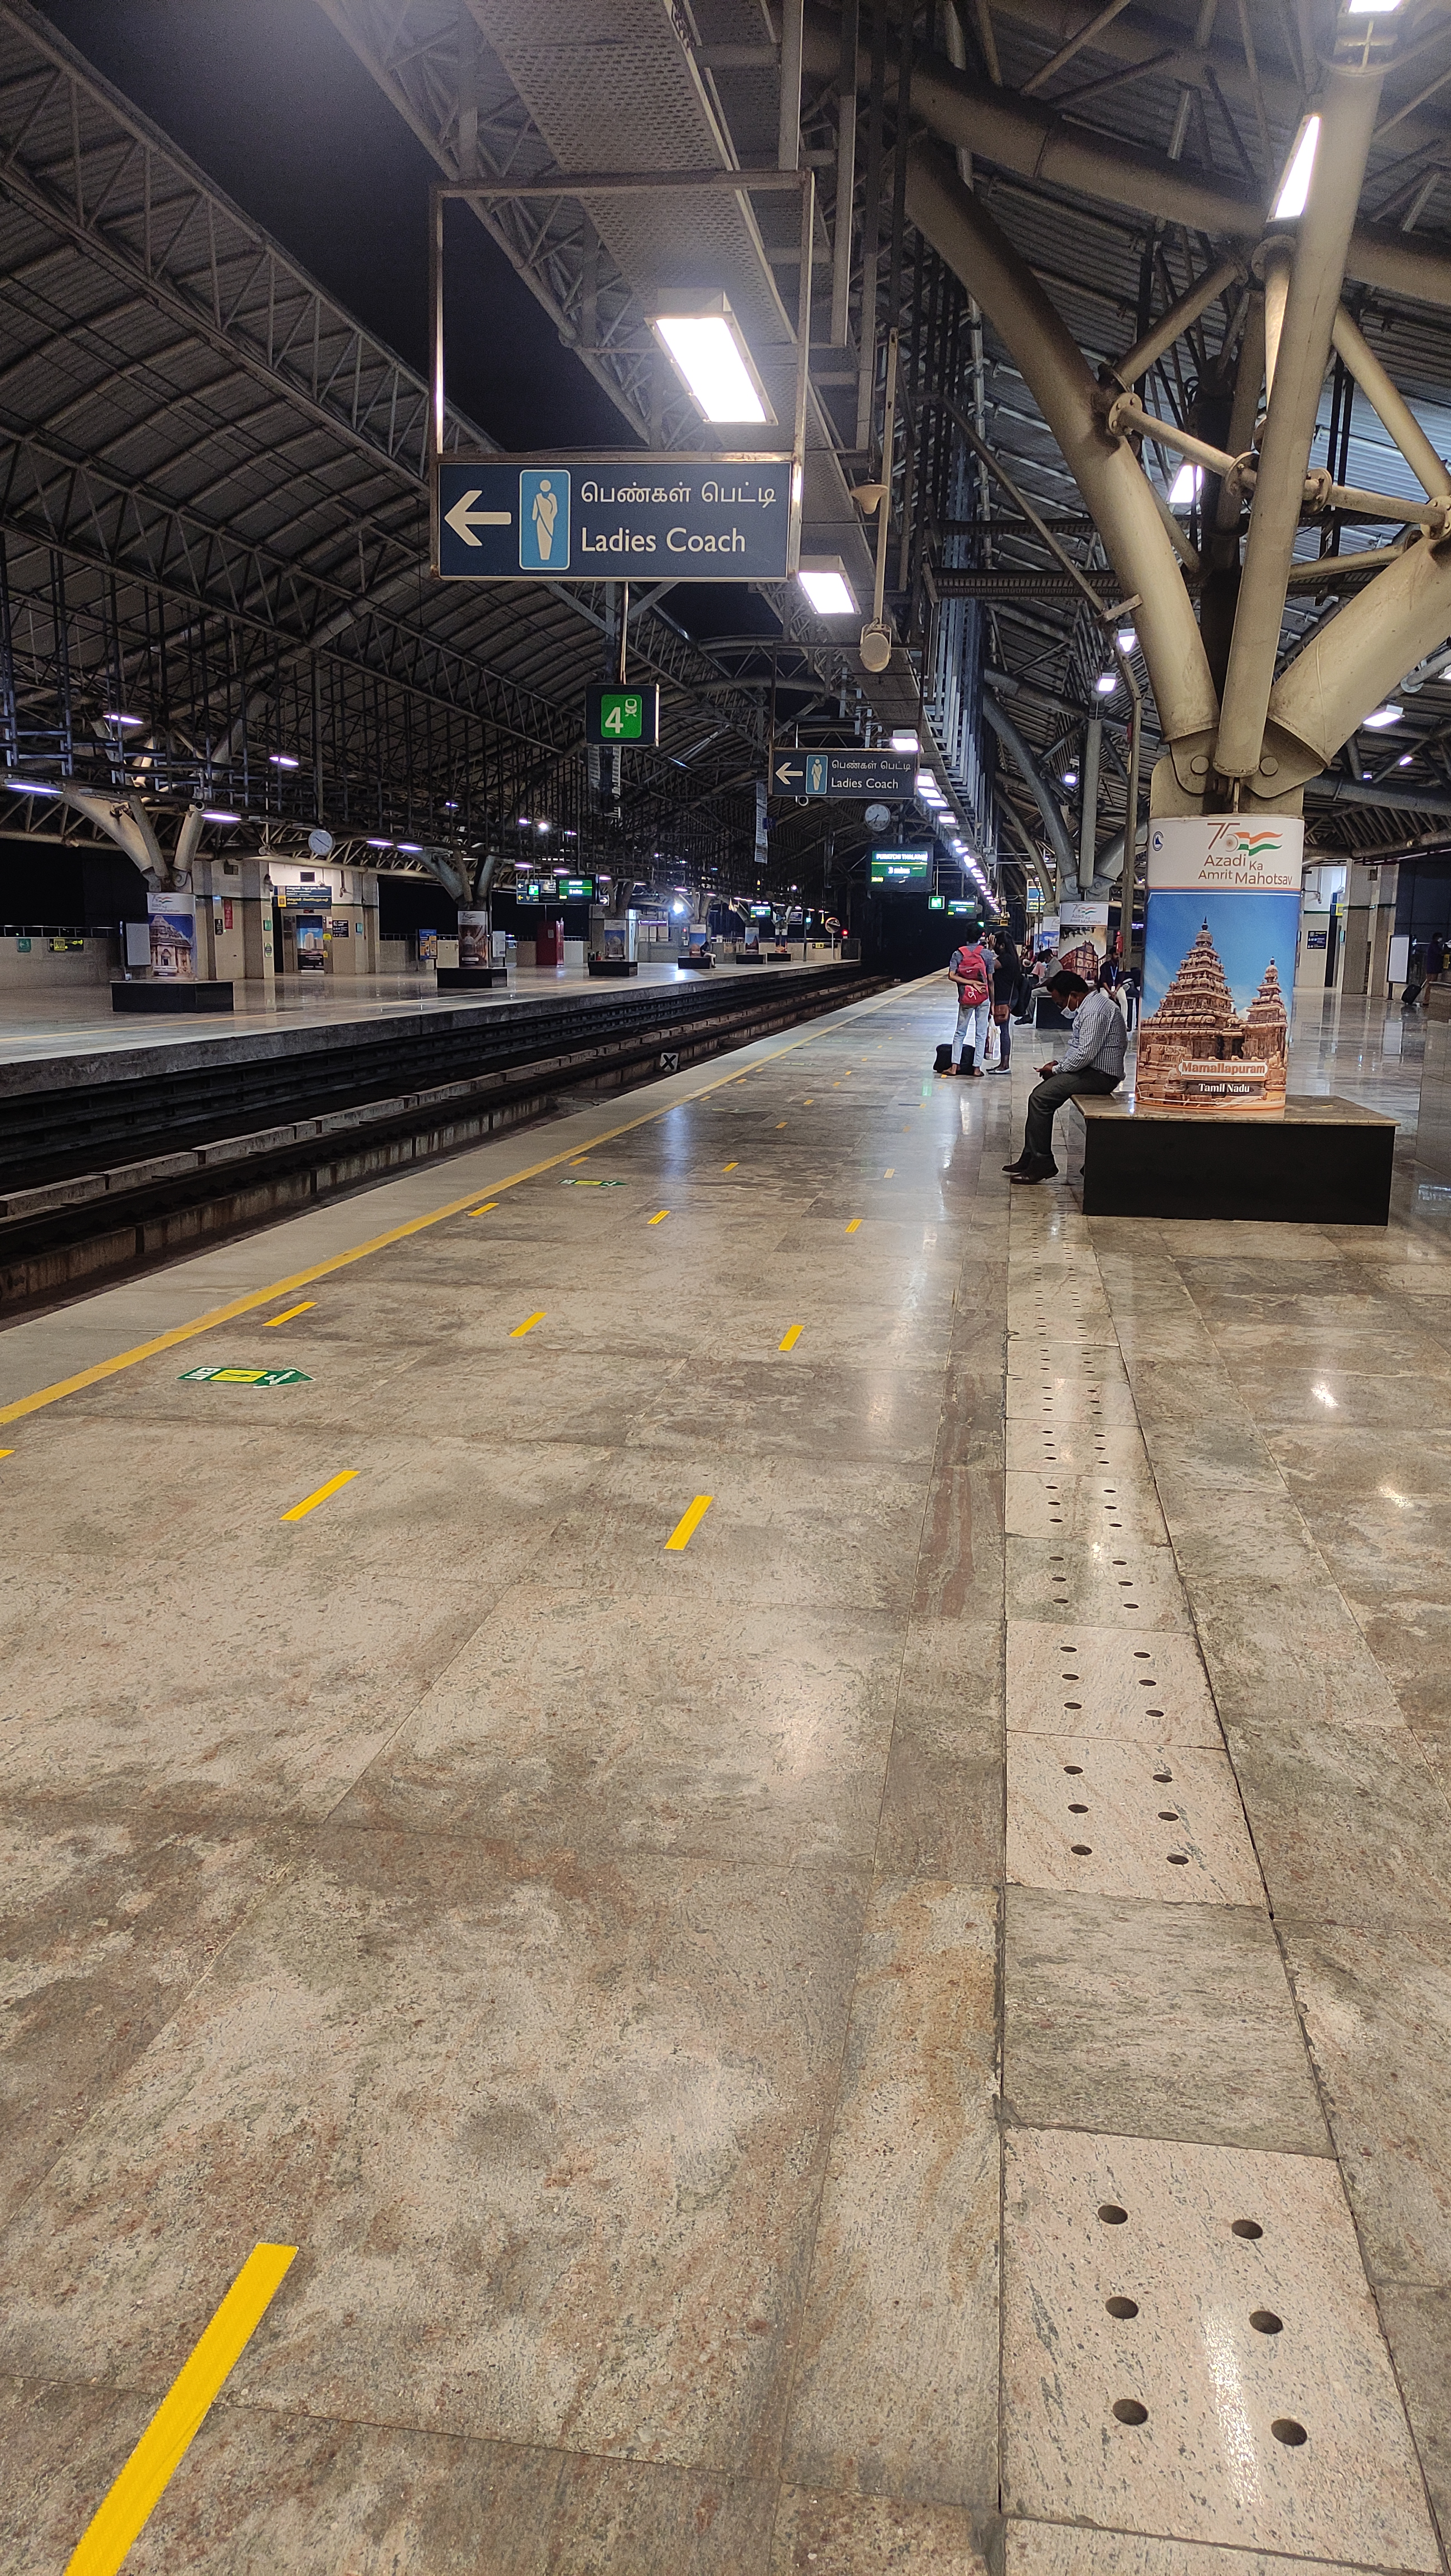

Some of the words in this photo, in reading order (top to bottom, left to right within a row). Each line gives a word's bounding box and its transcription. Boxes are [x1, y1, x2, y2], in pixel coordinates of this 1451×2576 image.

[577, 477, 694, 506] பெண்கள்
[697, 477, 781, 510] எபட்டி
[579, 524, 660, 554] Ladies
[664, 521, 748, 557] Coach
[827, 757, 879, 771] பெண்கள்
[877, 756, 914, 774] எபட்டி
[830, 774, 864, 793] Ladies
[862, 775, 902, 792] Coach
[1195, 866, 1236, 880] Amrit
[1202, 851, 1252, 870] Azadi
[1244, 856, 1267, 873] Ka
[1231, 869, 1295, 889] Mahotsav